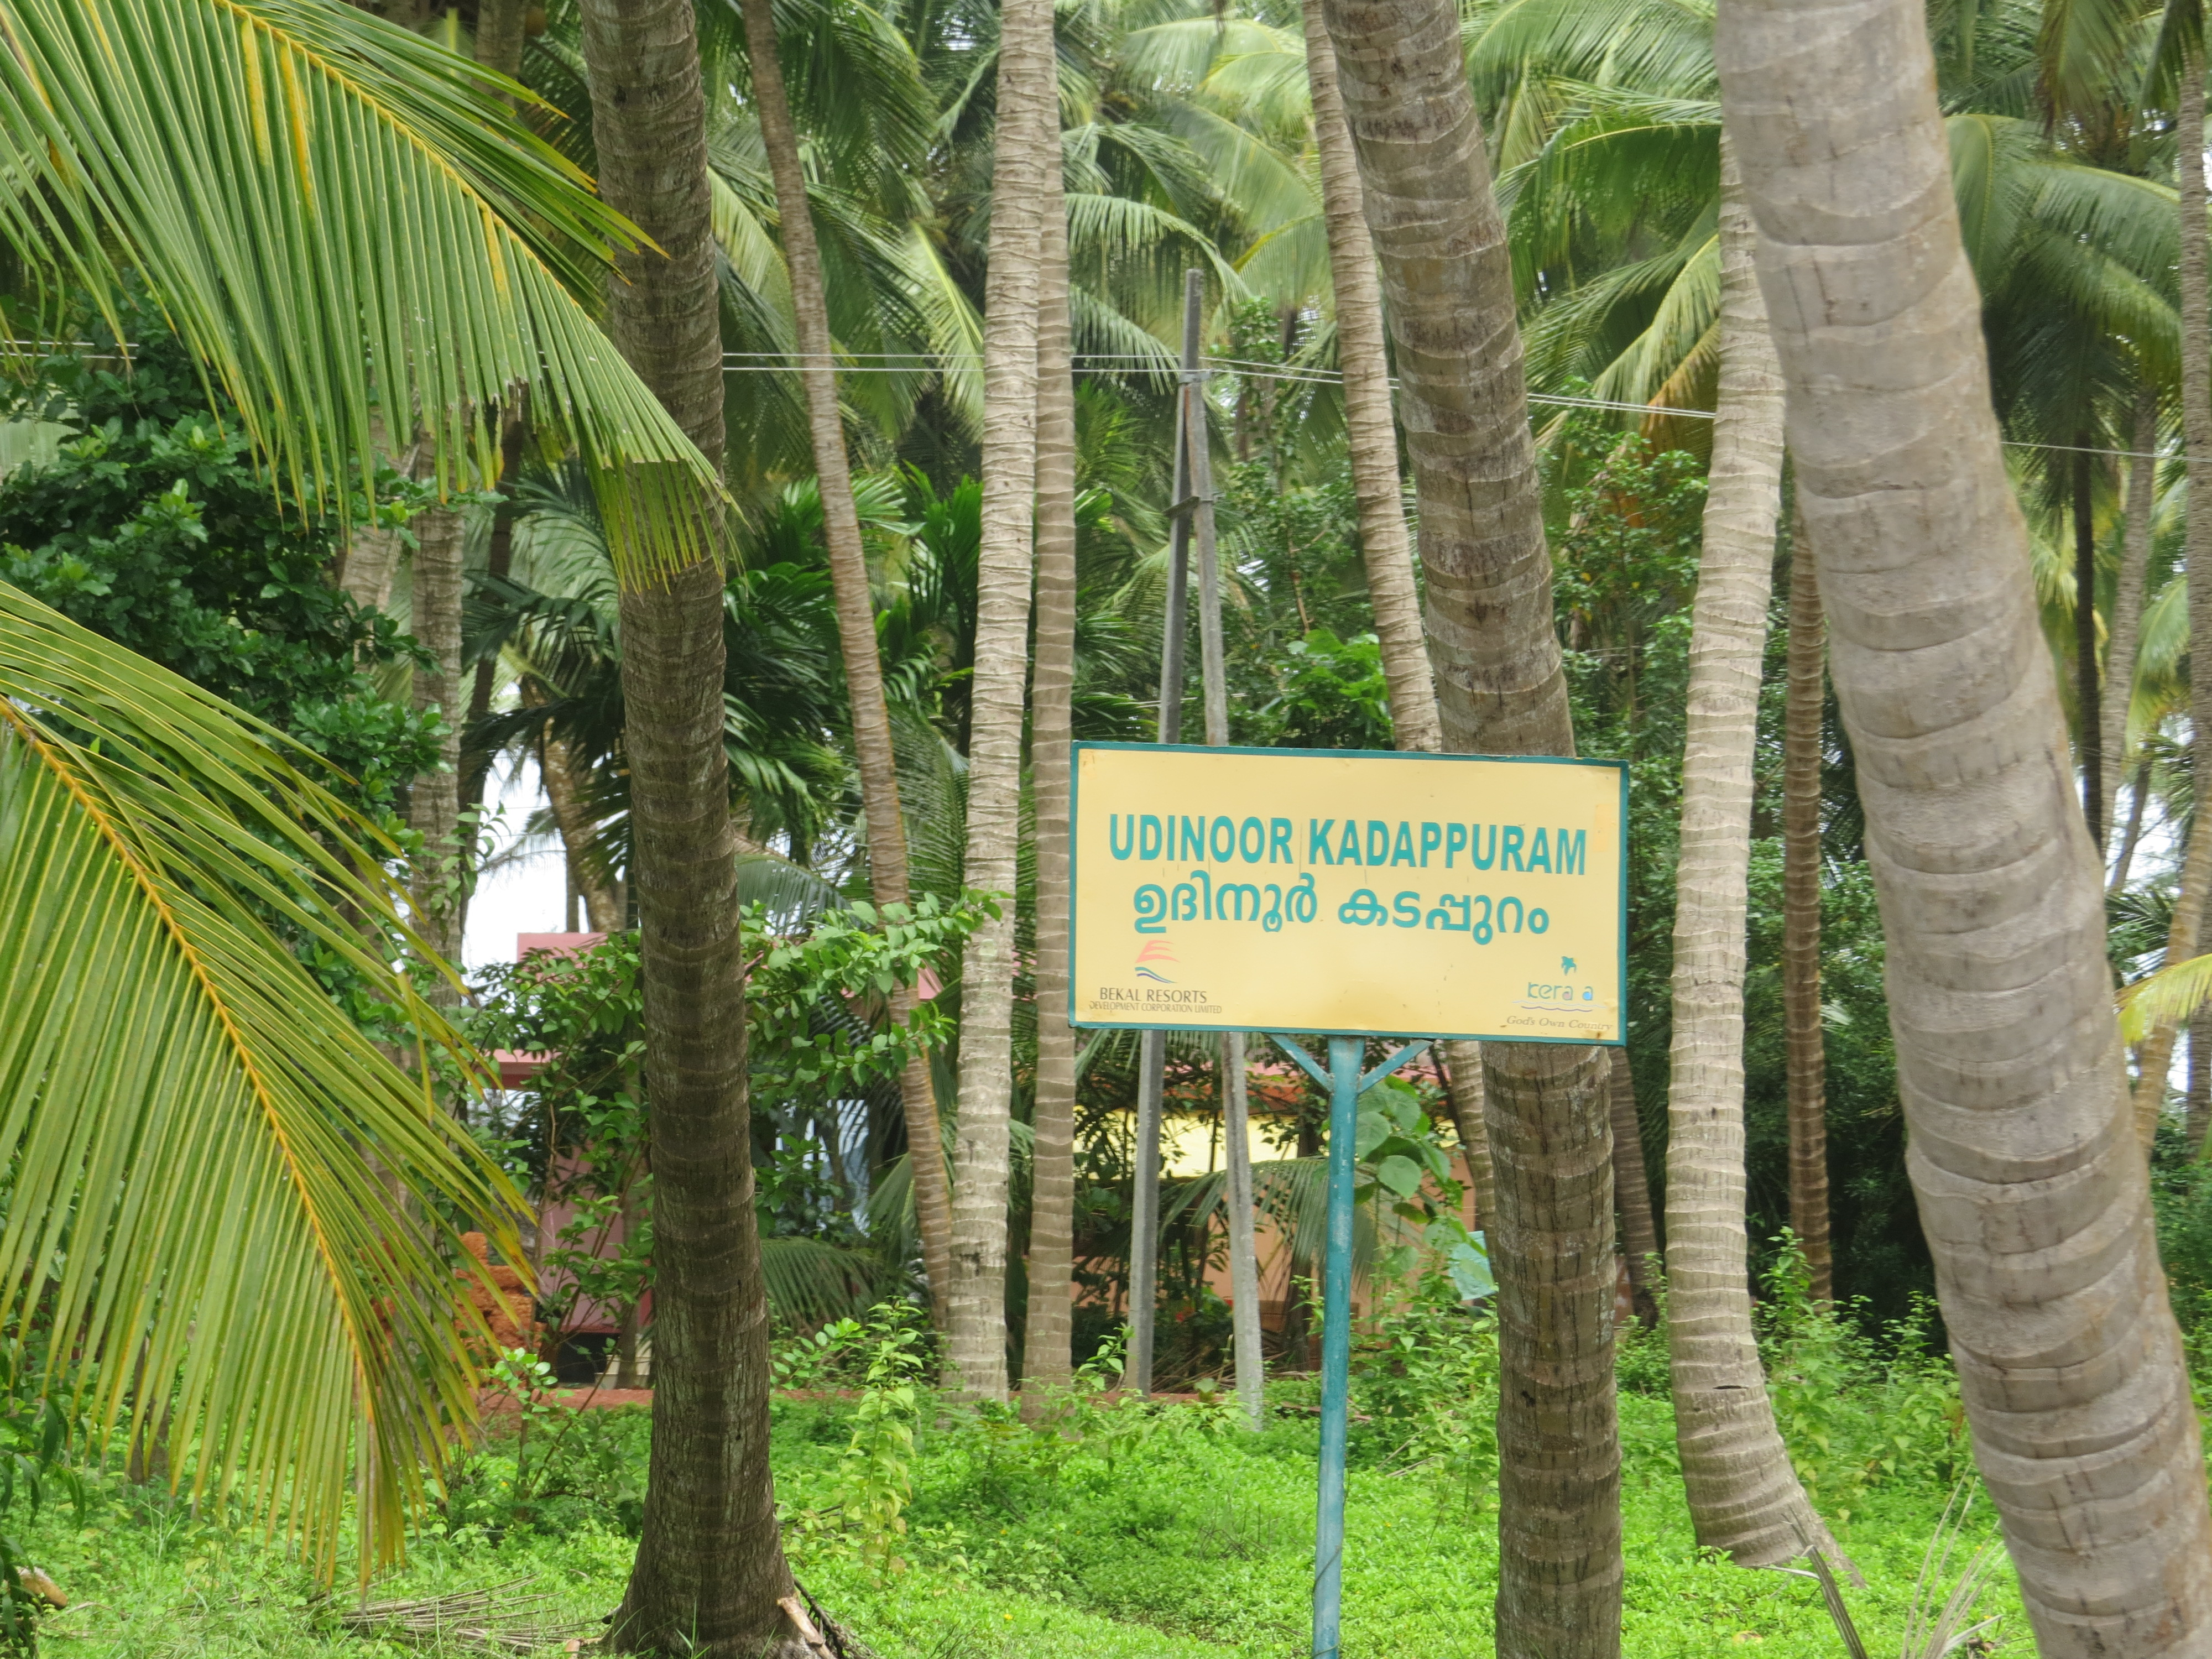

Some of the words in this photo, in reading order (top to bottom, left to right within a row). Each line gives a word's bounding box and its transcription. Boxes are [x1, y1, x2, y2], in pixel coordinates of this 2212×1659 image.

[1105, 806, 1297, 867] UDINOOR
[1305, 815, 1590, 879] KADAPPURAM
[1129, 864, 1319, 938] ഉദിനൂർ
[1335, 884, 1556, 948] കടപ്പുറം
[1088, 998, 1142, 1014] DEVELOPMENT
[1095, 984, 1142, 1005] BEKAL
[1139, 999, 1197, 1020] CORPORATION
[1142, 984, 1211, 1008] RESORTS
[1187, 1002, 1228, 1018] LIMITED
[1501, 1010, 1540, 1032] God
[1522, 977, 1575, 1011] KERA
[1538, 1014, 1568, 1035] Own
[1560, 1015, 1615, 1038] Country